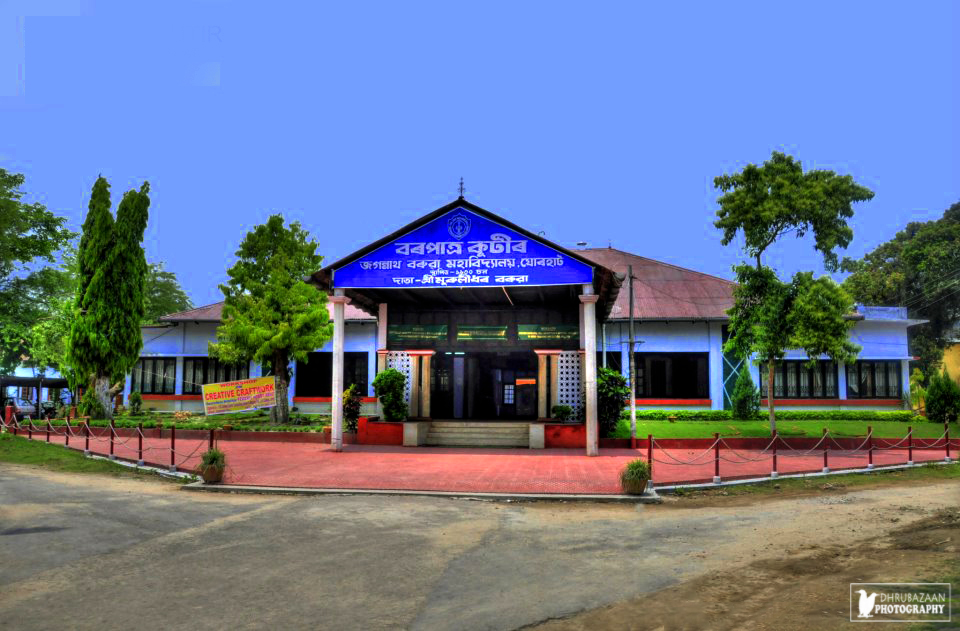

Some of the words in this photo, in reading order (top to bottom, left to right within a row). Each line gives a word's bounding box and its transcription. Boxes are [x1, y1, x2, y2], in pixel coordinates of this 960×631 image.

[390, 235, 469, 260] বৰপাত্ৰ
[463, 227, 535, 263] কুটীৰ
[355, 257, 408, 276] জগন্নাথ
[401, 250, 445, 273] বৰুৱা
[441, 245, 523, 273] মহাবিদ্যালয়.
[516, 249, 571, 273] যোৰহাট
[386, 273, 419, 289] দাতা-
[415, 267, 495, 289] শ্রী মুৰুলীধৰ
[489, 269, 533, 288] বকরা
[199, 385, 237, 404] CREATIVE
[232, 379, 279, 401] CRAFTWORK
[872, 595, 951, 618] PHOTOGRAPHY
[876, 586, 950, 605] DHRUBAZAAN